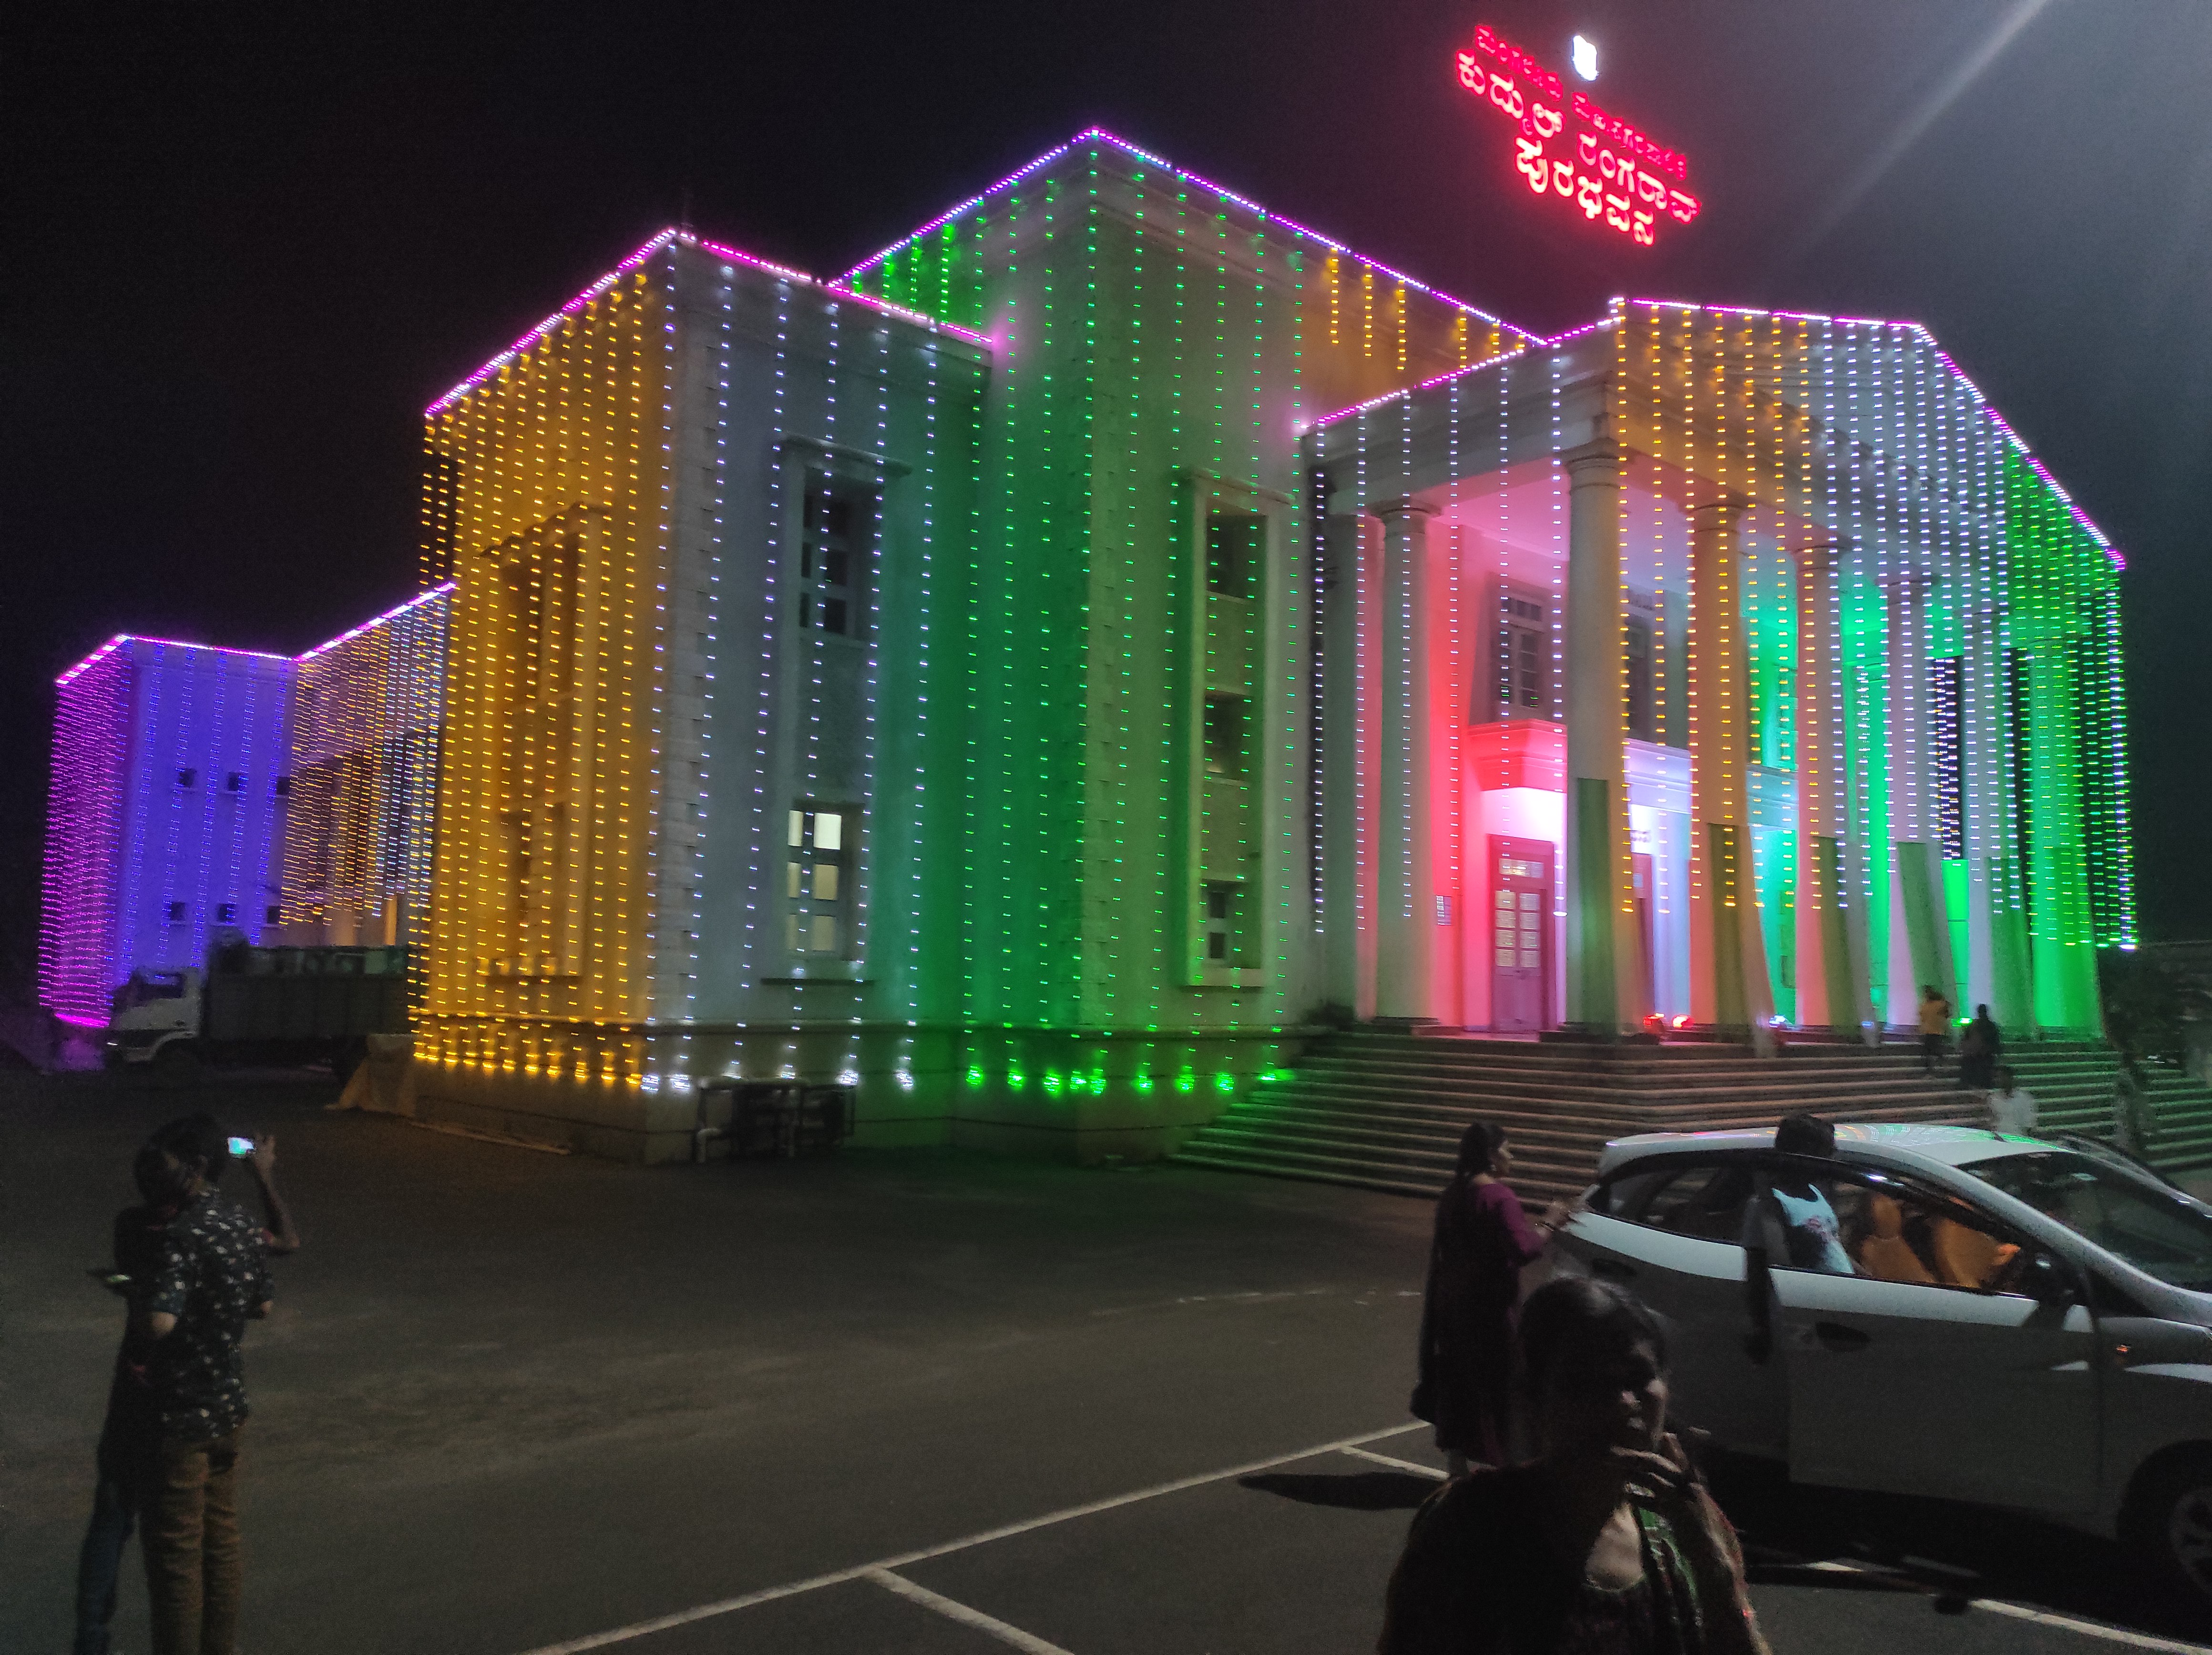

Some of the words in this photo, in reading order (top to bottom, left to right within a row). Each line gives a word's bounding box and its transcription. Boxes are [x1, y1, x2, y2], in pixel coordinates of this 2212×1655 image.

[1454, 47, 1571, 141] ಕುಮ್ಯಲ್
[1513, 134, 1659, 252] ಪುರಭವನ
[1571, 131, 1702, 229] ರಂಗರಾವ್